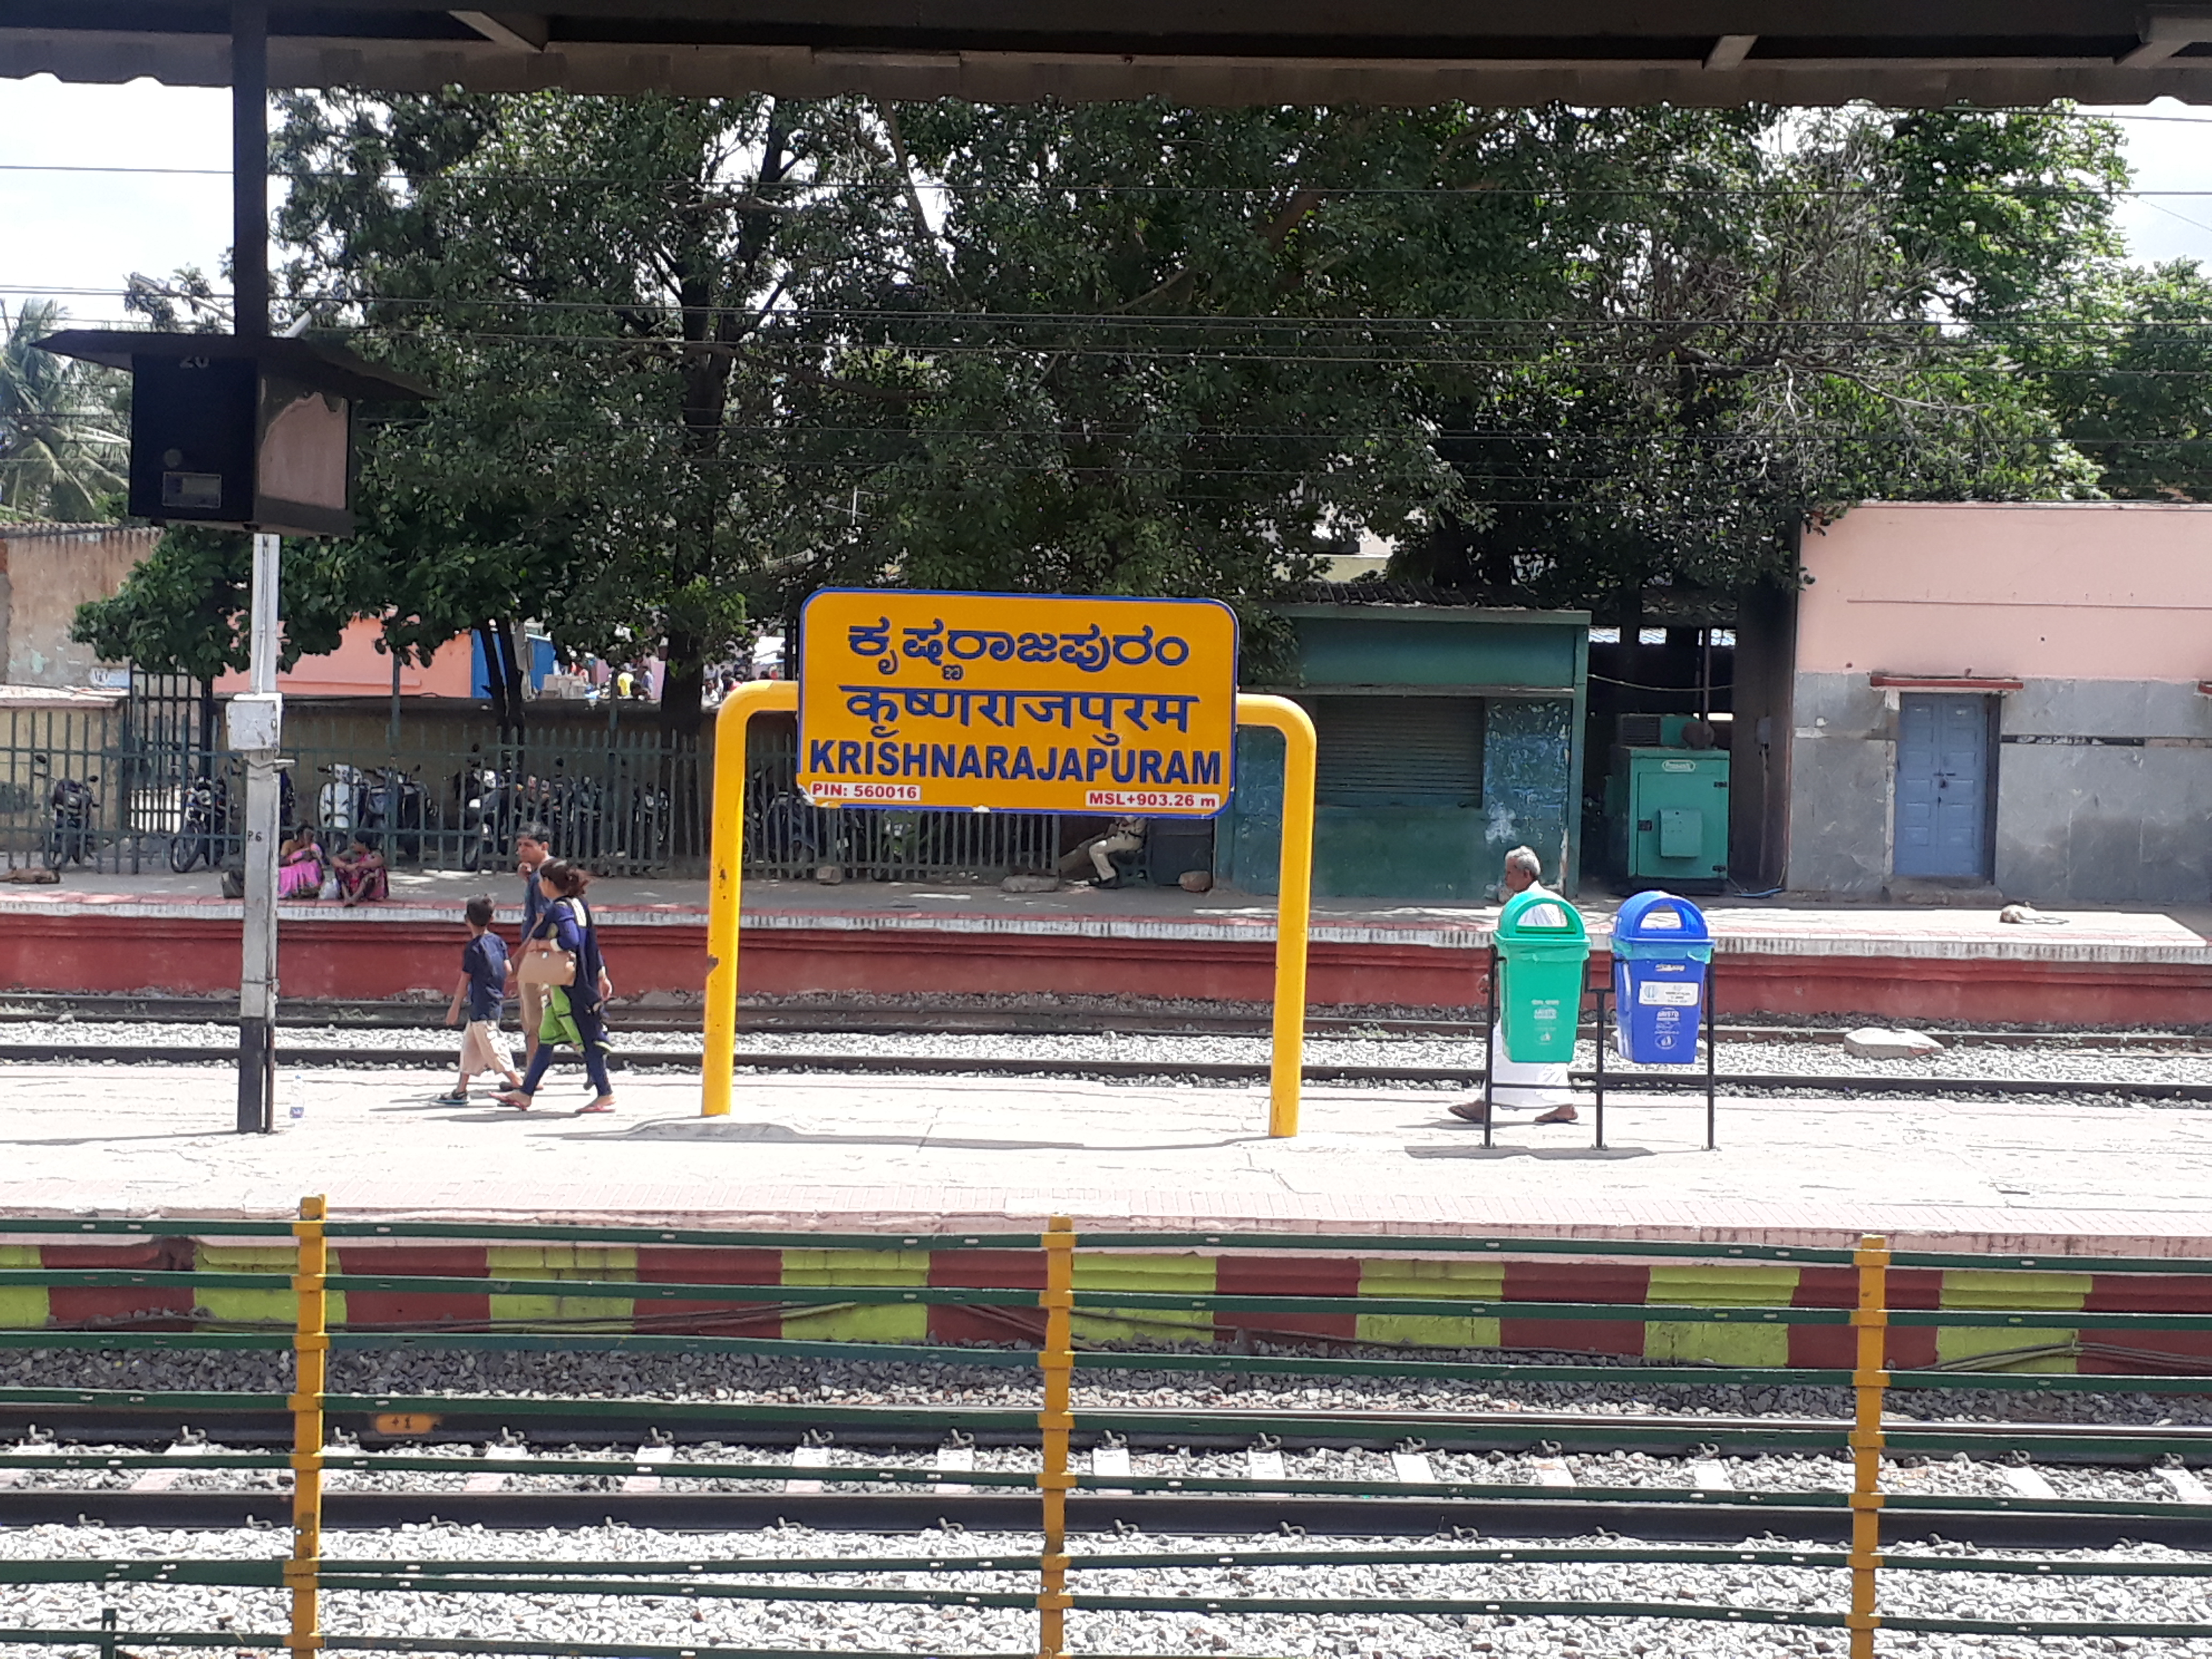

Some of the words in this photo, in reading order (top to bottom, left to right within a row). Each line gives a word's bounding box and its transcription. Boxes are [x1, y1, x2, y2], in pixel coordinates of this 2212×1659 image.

[840, 612, 1192, 685] ಕೃಷ್ಣರಾಜಪುರಂ
[836, 679, 1201, 750] कृष्णराजपुरम
[804, 733, 1223, 788] KRISHNARAJAPURAM
[809, 779, 922, 803] PIN:560016
[1087, 789, 1221, 810] MSL+903.26m